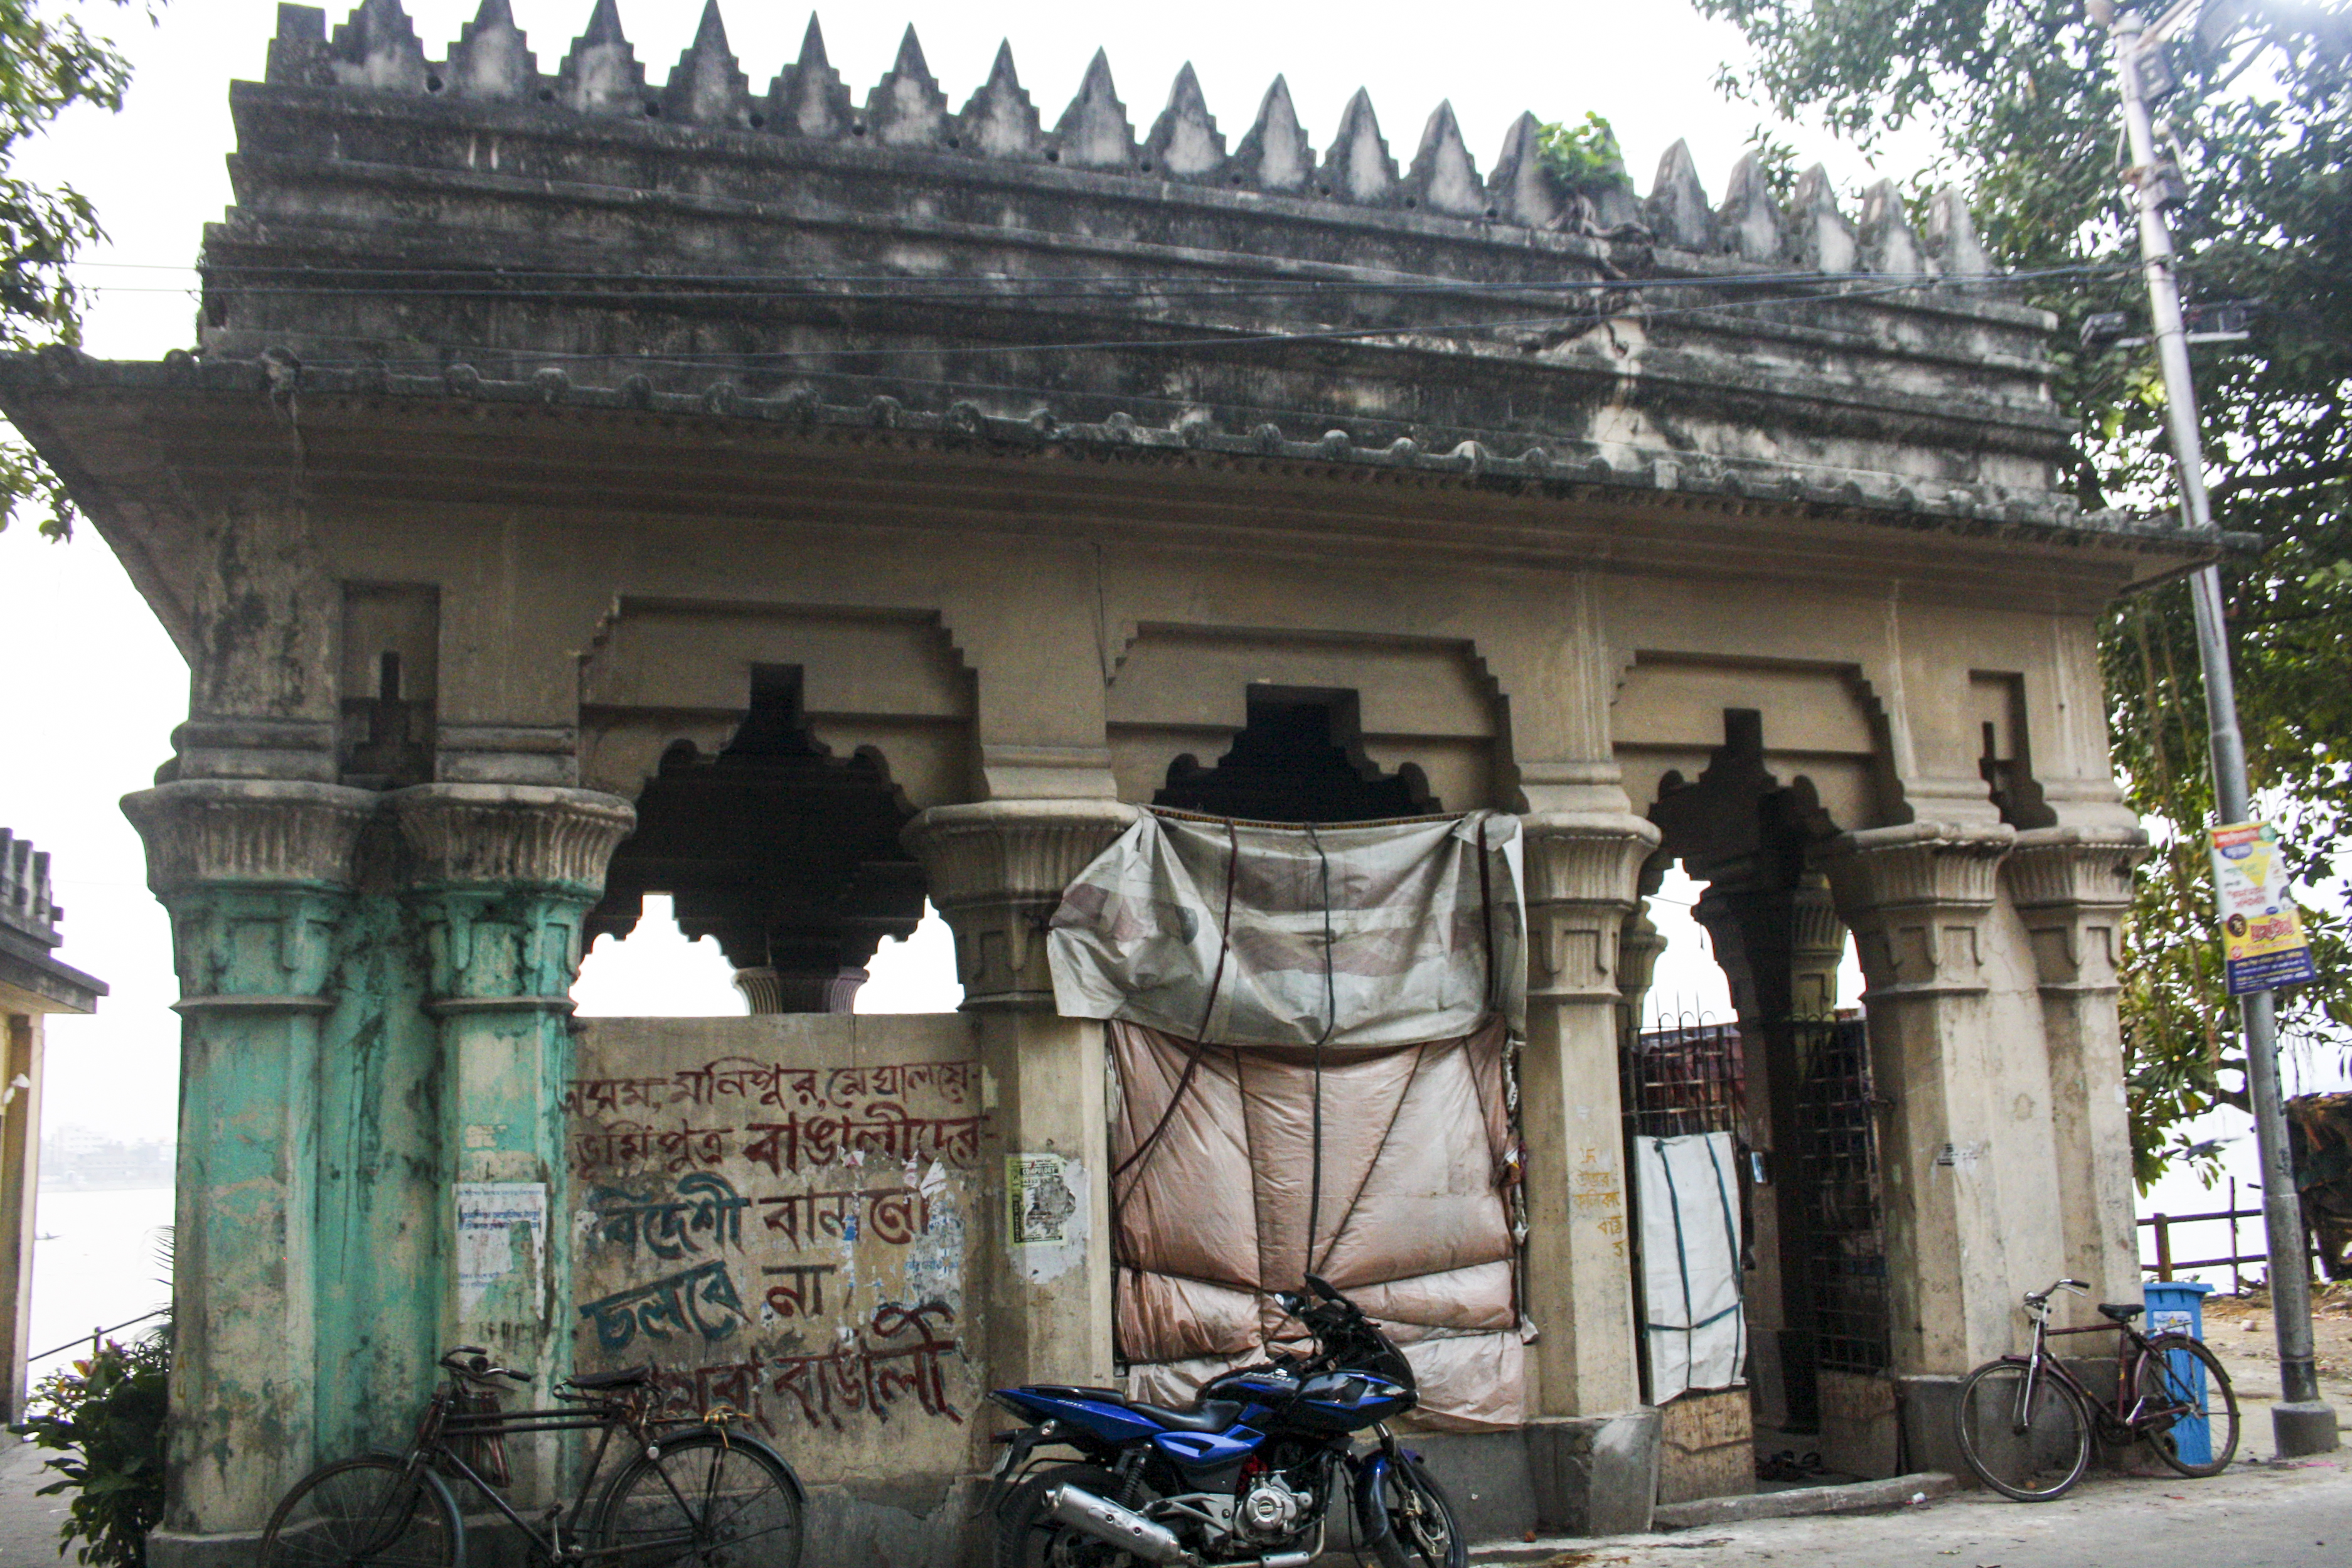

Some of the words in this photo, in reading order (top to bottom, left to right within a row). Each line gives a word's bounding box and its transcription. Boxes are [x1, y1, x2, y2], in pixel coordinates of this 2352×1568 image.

[555, 1072, 670, 1131] অসম,
[564, 1108, 742, 1187] ভূমিপুত্র
[665, 1045, 826, 1114] মনিপুর
[740, 1092, 985, 1185] বাঙালীদের
[821, 1055, 976, 1115] মেঘালয়ে
[575, 1163, 756, 1268] বিদেশী
[757, 1178, 936, 1257] বানানো
[571, 1252, 763, 1364] চলবে
[759, 1254, 842, 1326] না
[774, 1293, 972, 1440] বাঙালী